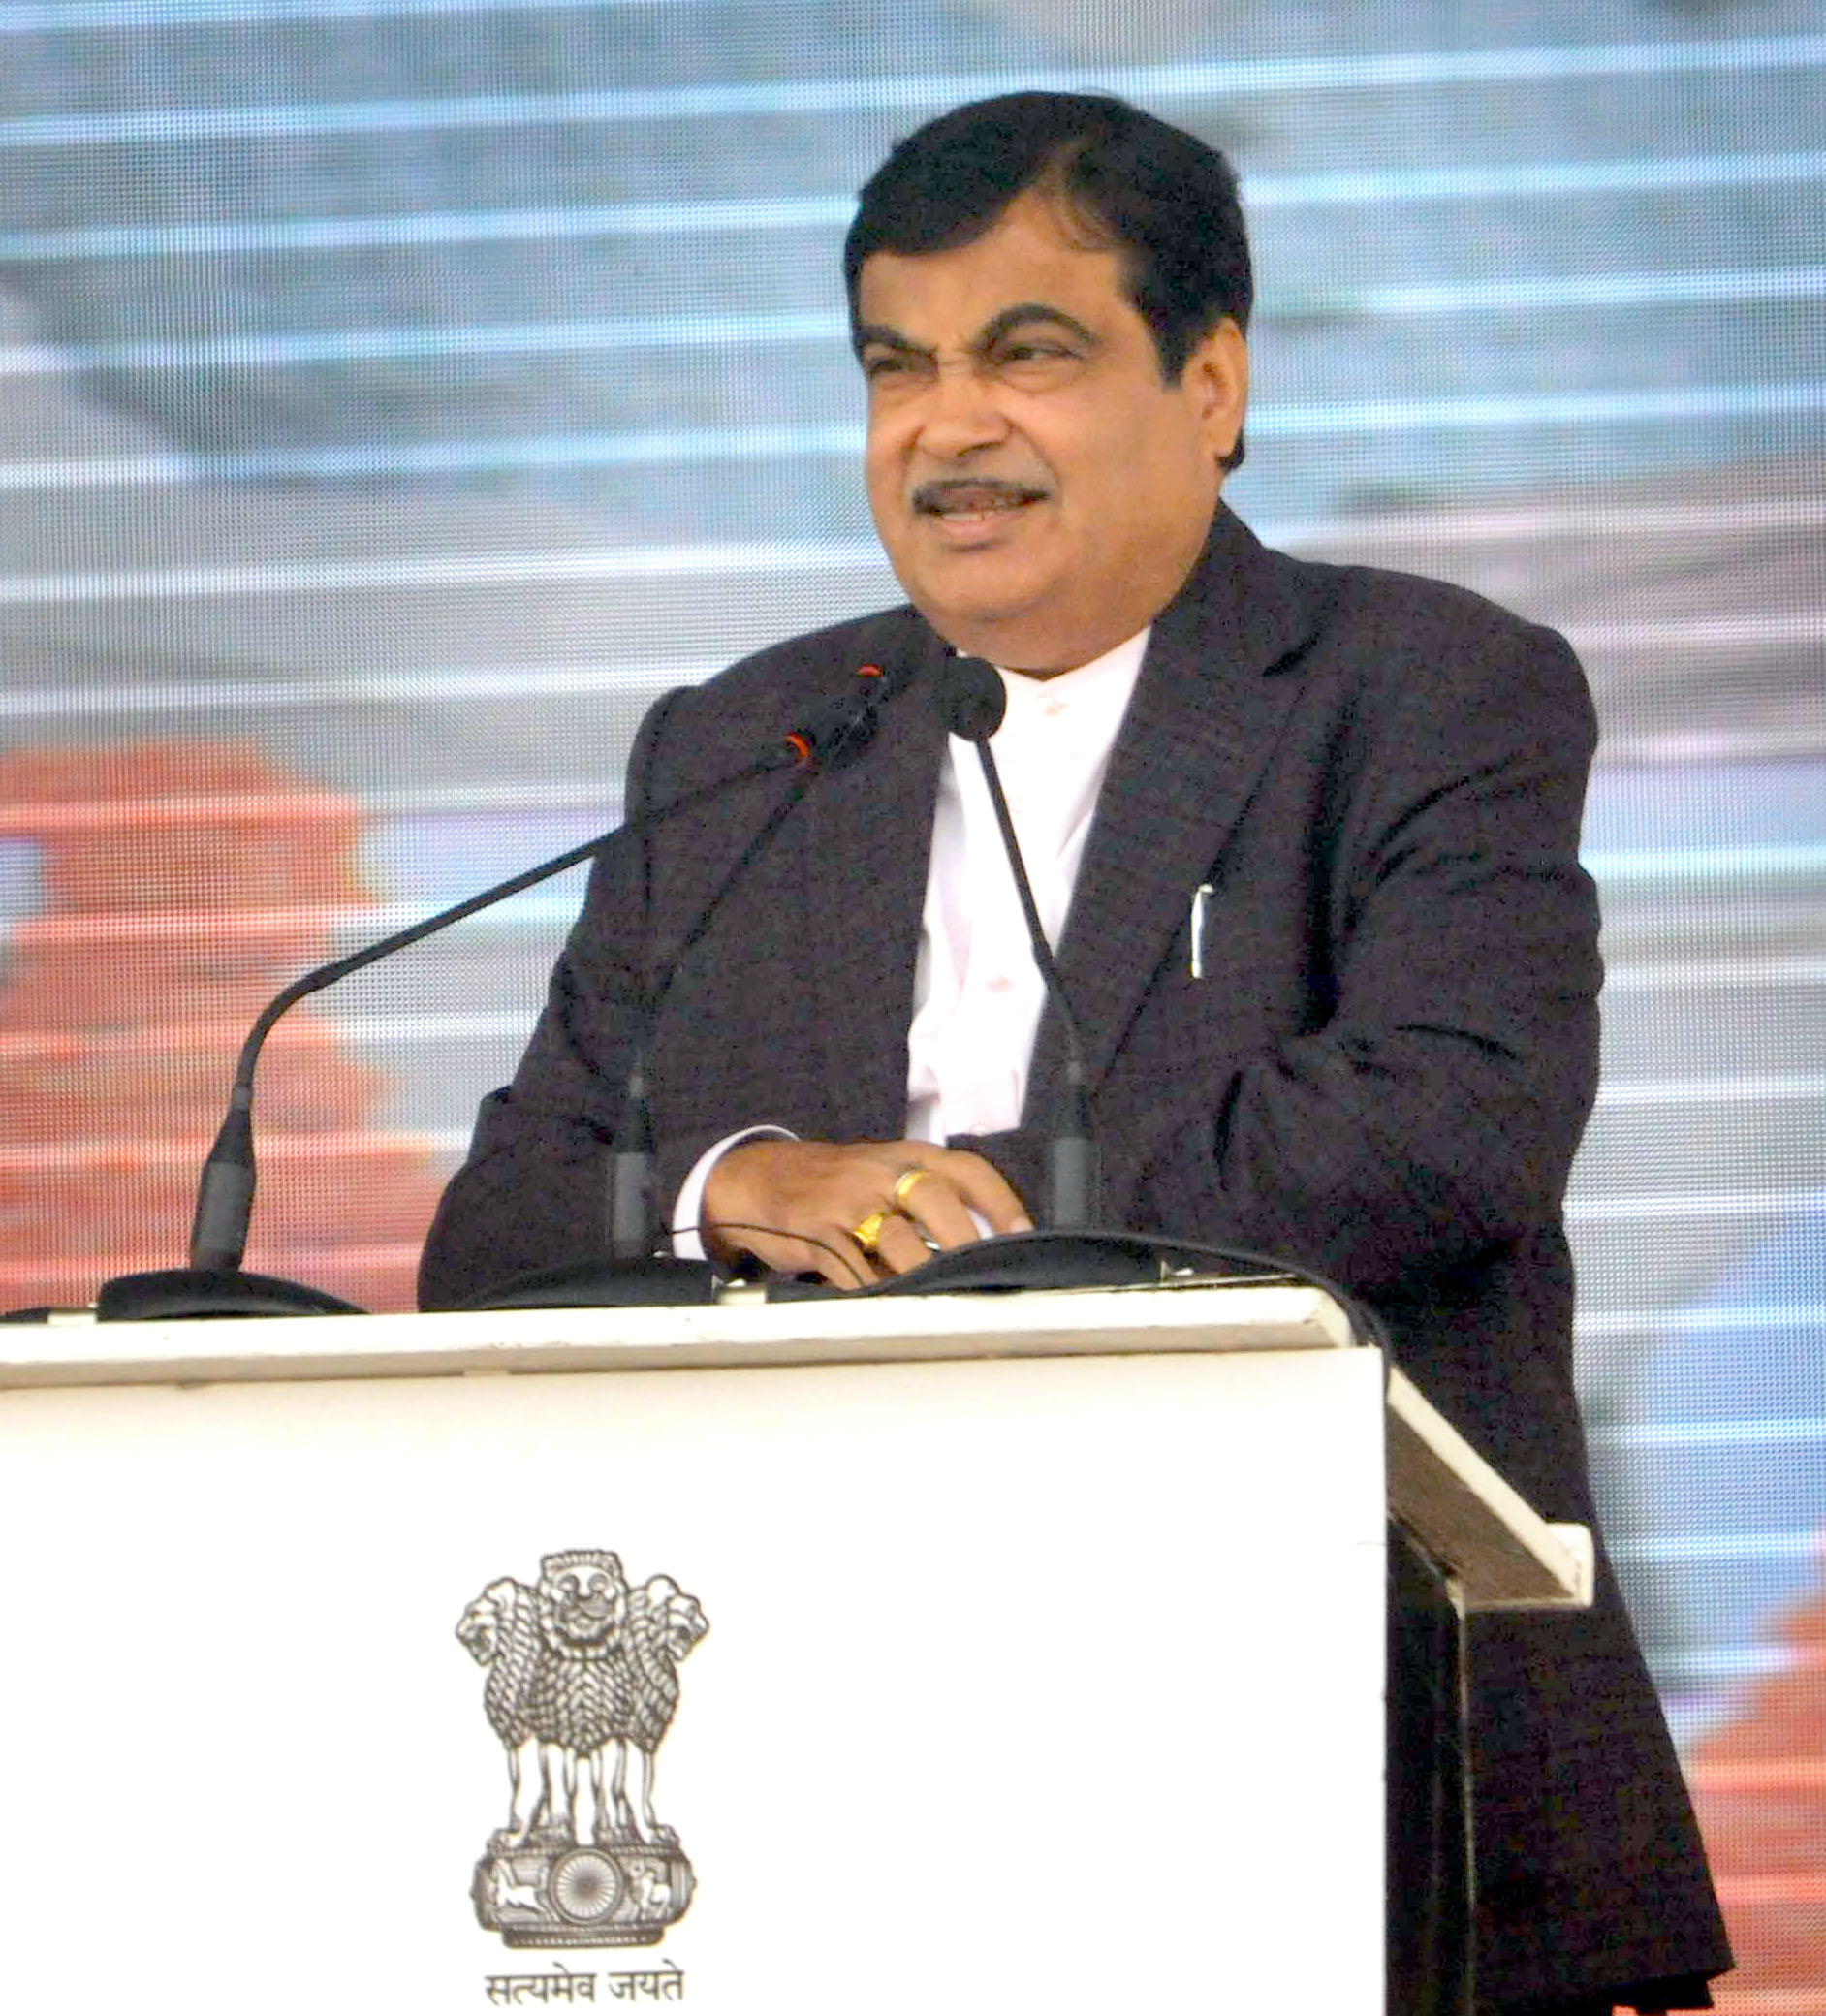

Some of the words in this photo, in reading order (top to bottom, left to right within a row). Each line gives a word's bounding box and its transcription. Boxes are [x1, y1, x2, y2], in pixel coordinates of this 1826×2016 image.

[483, 1959, 598, 2008] सत्यमेव
[607, 1955, 685, 2004] जयते